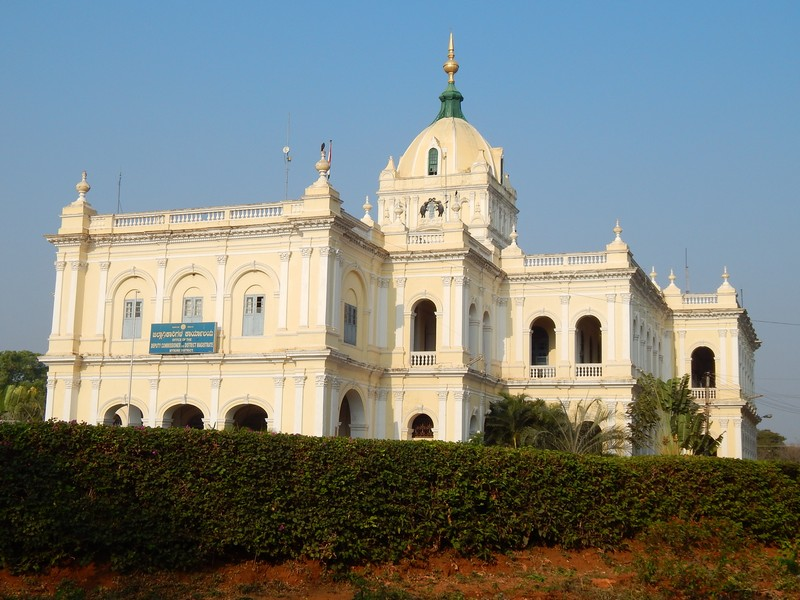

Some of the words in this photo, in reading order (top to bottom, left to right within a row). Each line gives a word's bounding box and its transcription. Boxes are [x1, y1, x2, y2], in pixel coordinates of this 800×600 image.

[181, 325, 218, 341] ಕಾರ್ಯಾಲಯ